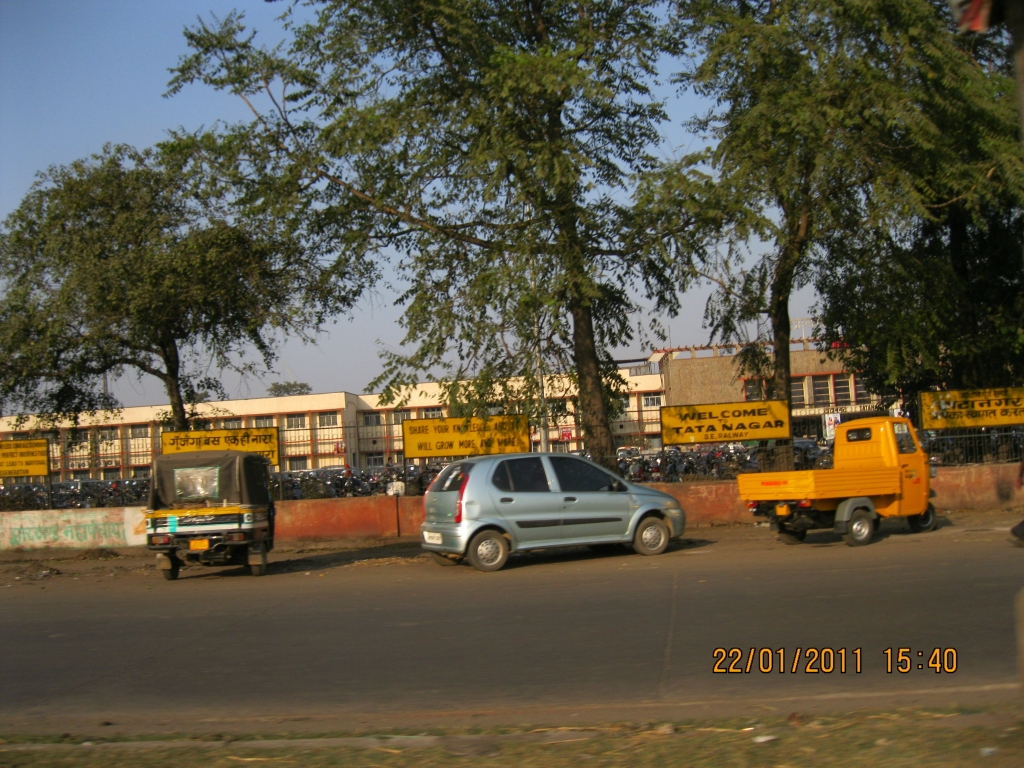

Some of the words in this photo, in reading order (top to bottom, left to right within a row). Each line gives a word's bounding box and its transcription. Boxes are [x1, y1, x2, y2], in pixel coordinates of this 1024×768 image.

[675, 402, 773, 422] WELCOME
[933, 392, 1023, 412] टाटानगर
[164, 431, 207, 452] गूंजेगा
[199, 433, 224, 448] बस
[219, 431, 242, 448] एक
[235, 426, 252, 452] ही
[245, 431, 277, 450] नारा
[669, 421, 719, 437] TATA
[718, 415, 788, 437] NAGAR
[708, 643, 867, 681] 22/01/2011
[879, 643, 916, 677] 15
[925, 643, 961, 677] 40